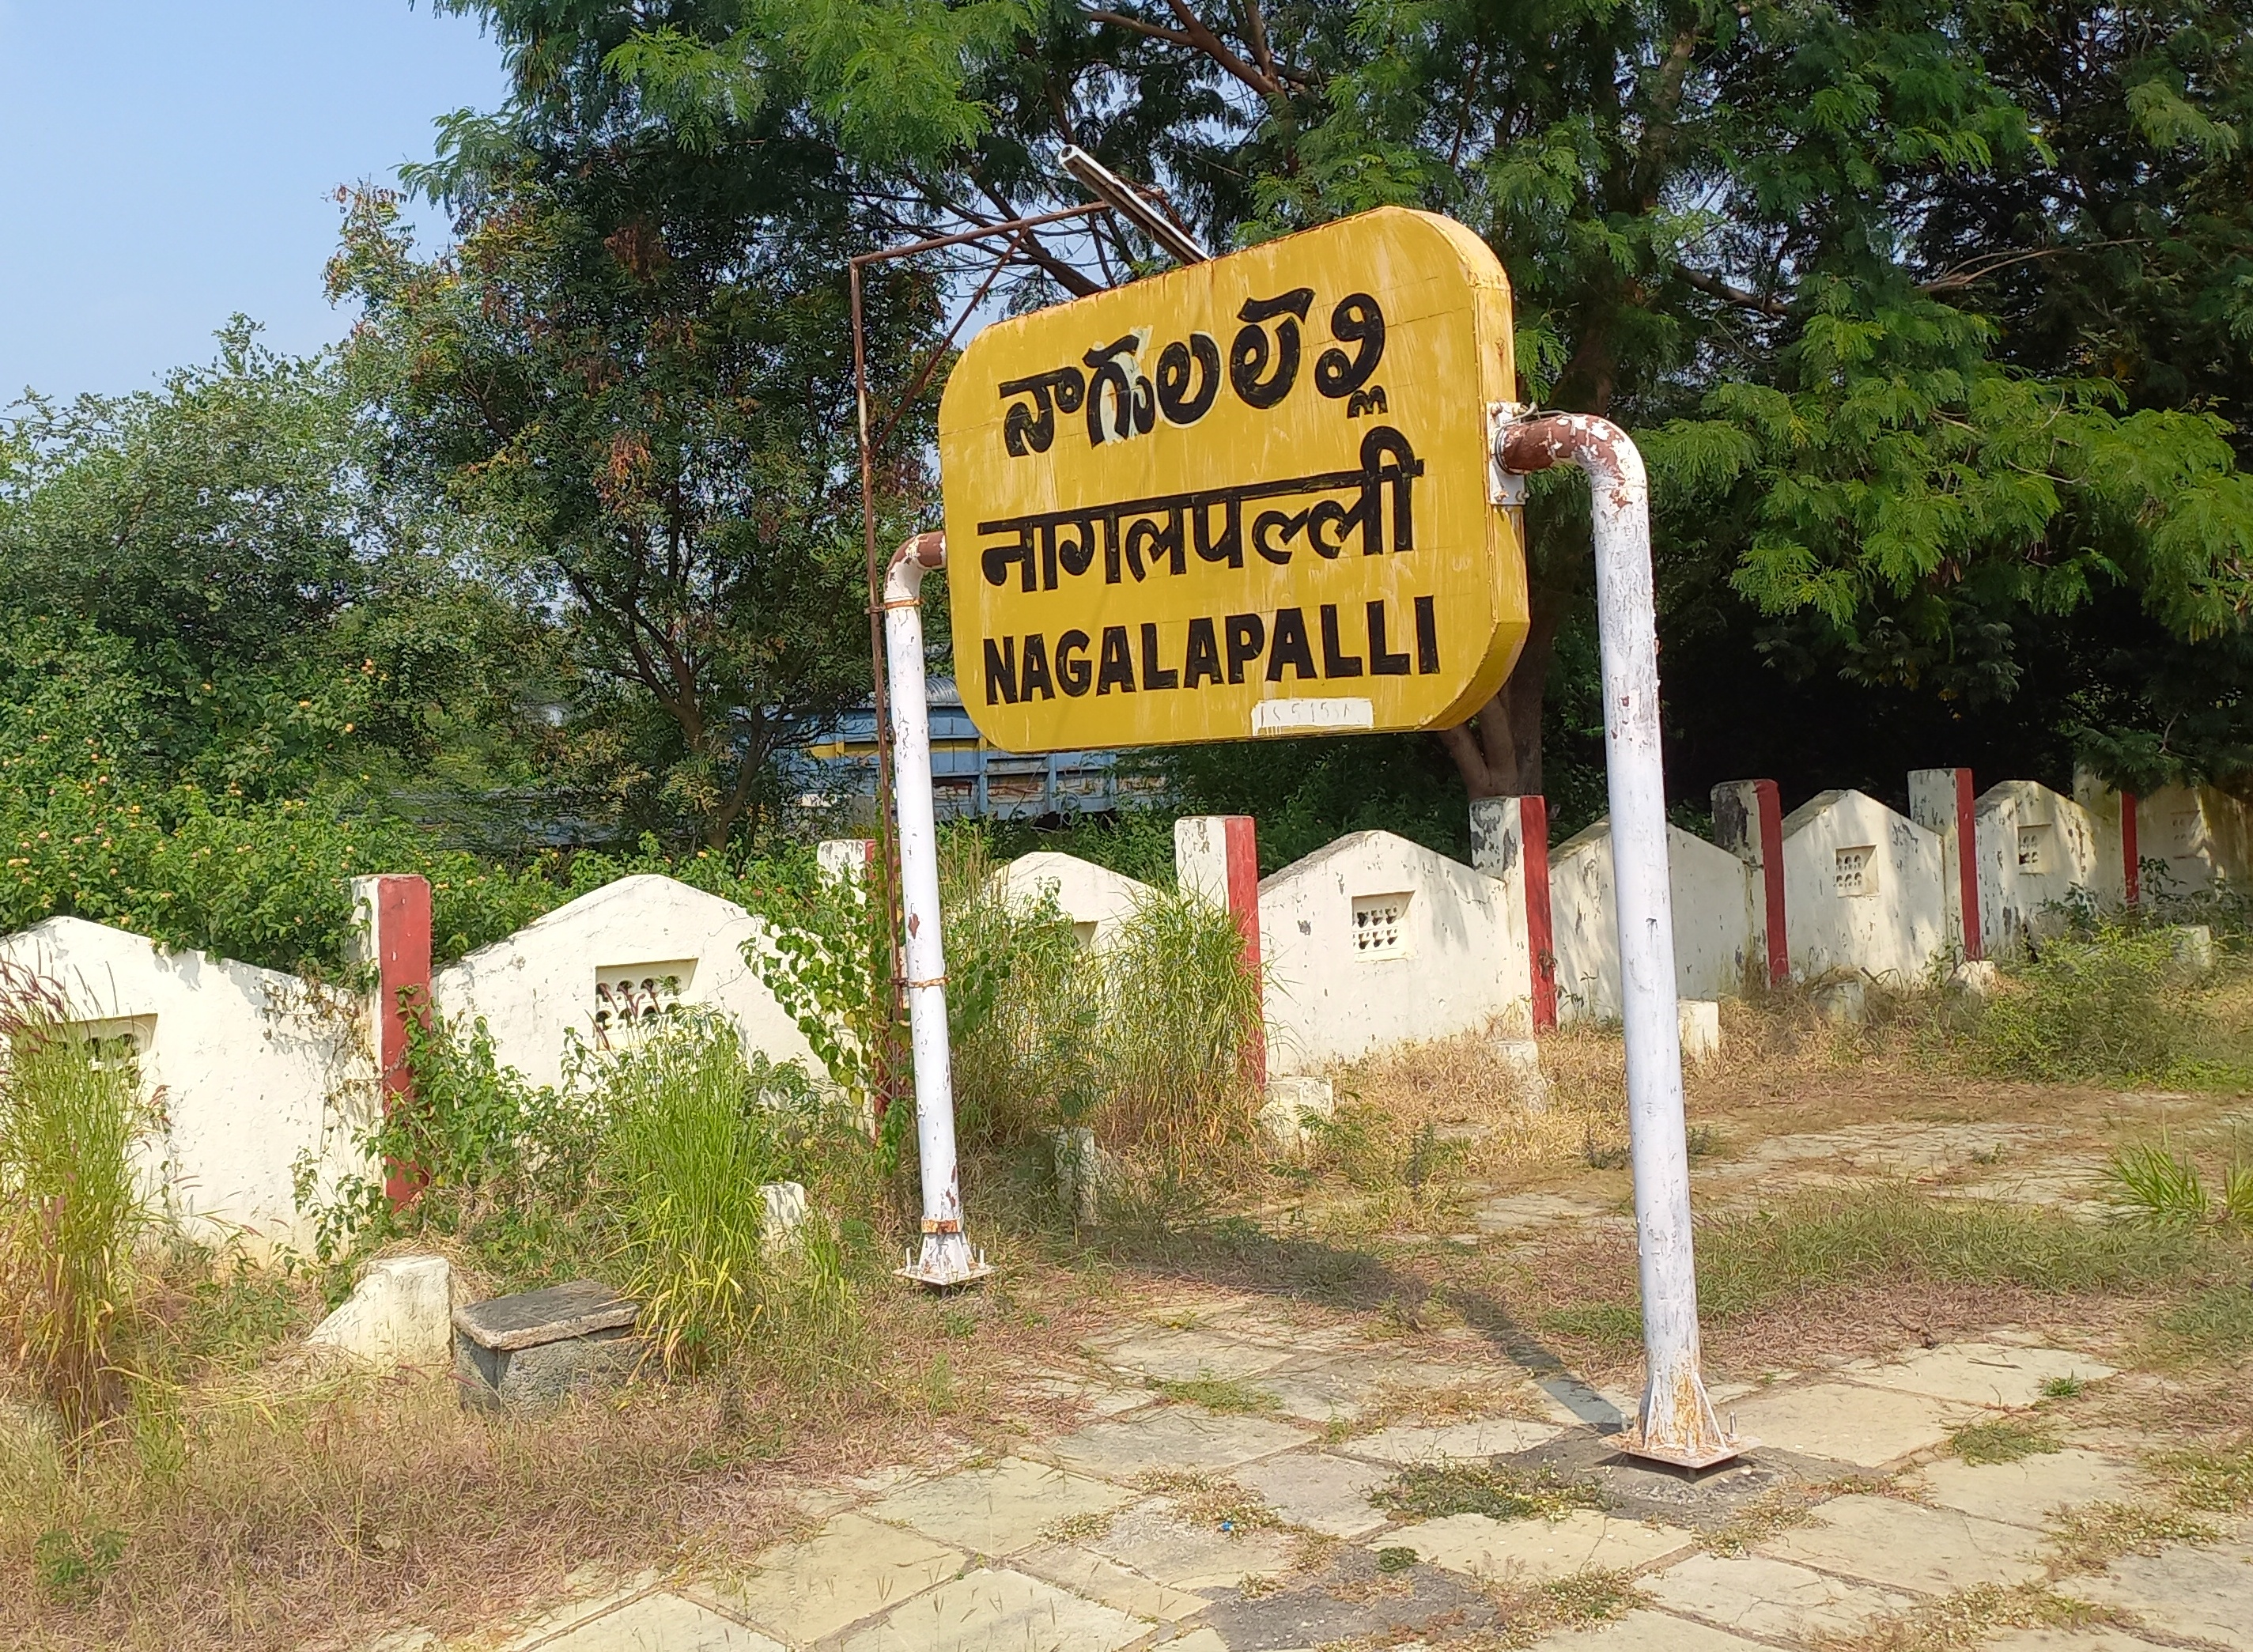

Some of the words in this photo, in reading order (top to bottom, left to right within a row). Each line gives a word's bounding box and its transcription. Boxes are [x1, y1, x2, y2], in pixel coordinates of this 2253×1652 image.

[986, 277, 1393, 467] నాగుల లొల్లి
[974, 416, 1428, 599] नागलपल्ली
[978, 589, 1442, 712] NAGALAPALLI